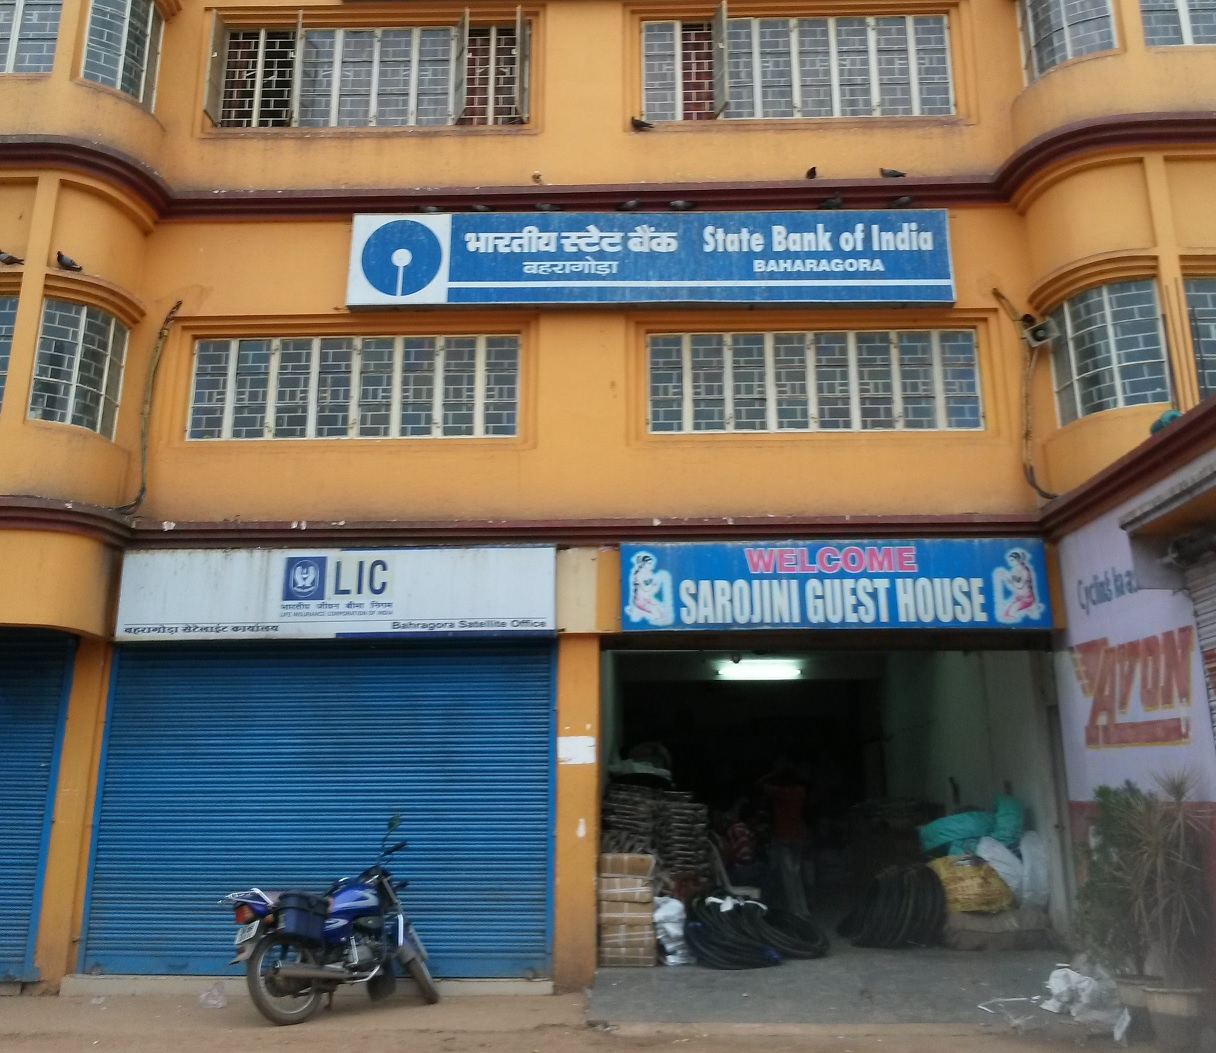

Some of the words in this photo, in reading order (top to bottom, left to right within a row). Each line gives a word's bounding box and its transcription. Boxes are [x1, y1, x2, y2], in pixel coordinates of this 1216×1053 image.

[457, 221, 562, 258] भारतीय
[552, 218, 629, 259] स्टेट
[622, 217, 683, 261] बैंक
[699, 222, 767, 261] State
[768, 218, 838, 259] Bank
[832, 220, 869, 261] of
[867, 217, 937, 259] India
[519, 248, 622, 281] बहरागोड़ा
[747, 255, 889, 278] BAHARAGORA
[743, 543, 922, 577] WELCOME
[330, 554, 393, 602] LIC
[275, 593, 316, 613] भारतीय
[310, 593, 343, 613] जीवन
[342, 593, 370, 611] बीमा
[365, 593, 397, 613] निगम
[669, 568, 803, 632] SAROJINI
[799, 575, 893, 631] GUEST
[891, 571, 991, 629] HOUSE
[120, 616, 182, 637] बहरागोड़ा
[176, 616, 231, 639] सेटेलाईट
[227, 614, 284, 640] कार्यालय
[388, 614, 459, 639] Bahragora
[455, 610, 512, 636] Satellite
[507, 610, 551, 636] Office